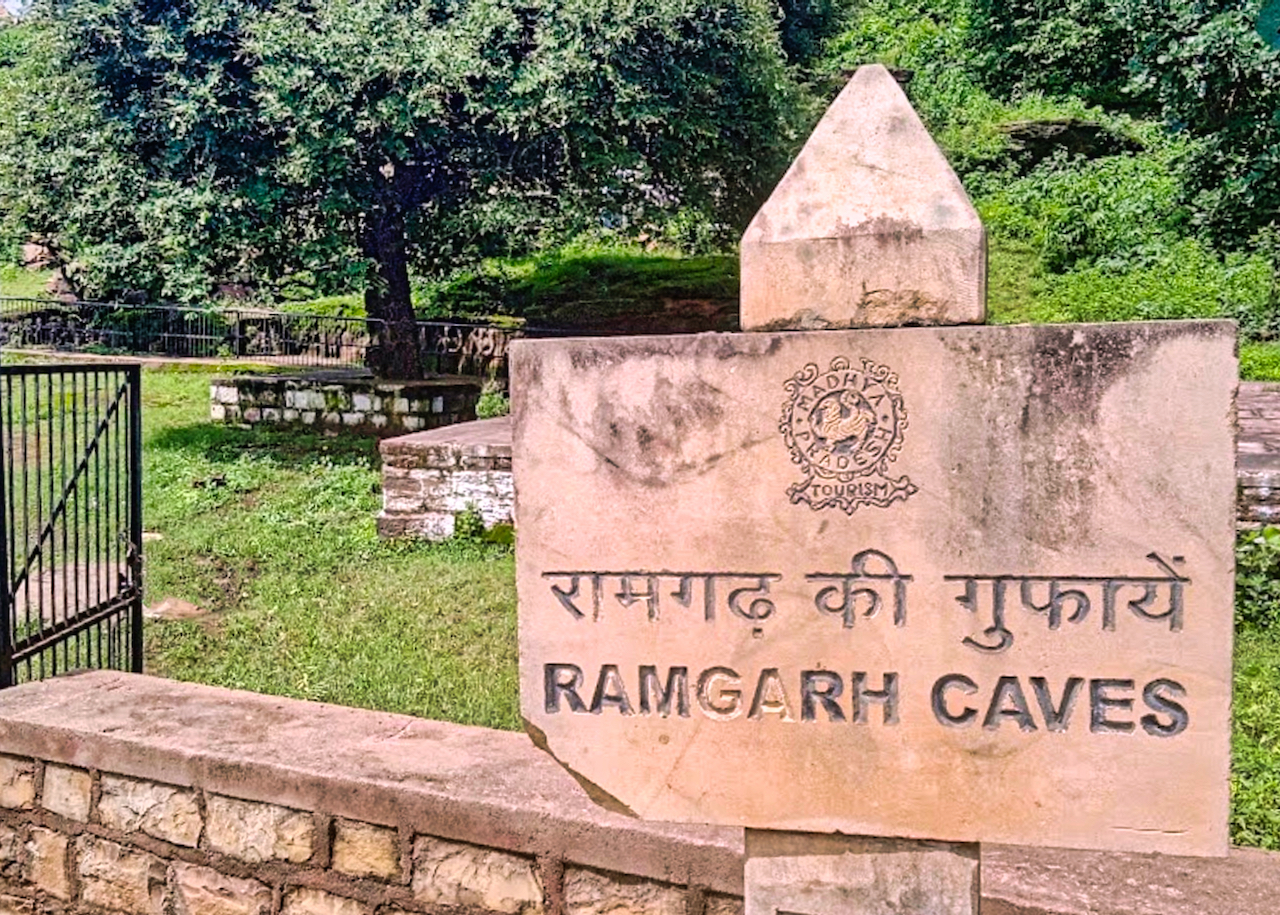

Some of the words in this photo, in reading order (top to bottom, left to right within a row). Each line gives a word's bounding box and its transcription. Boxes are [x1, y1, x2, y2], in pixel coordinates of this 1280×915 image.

[534, 565, 788, 647] रामगढ़
[807, 544, 916, 632] क‍ी
[944, 546, 1193, 656] गुफायें
[542, 653, 907, 727] RAMGARH
[928, 666, 1191, 747] CAVES